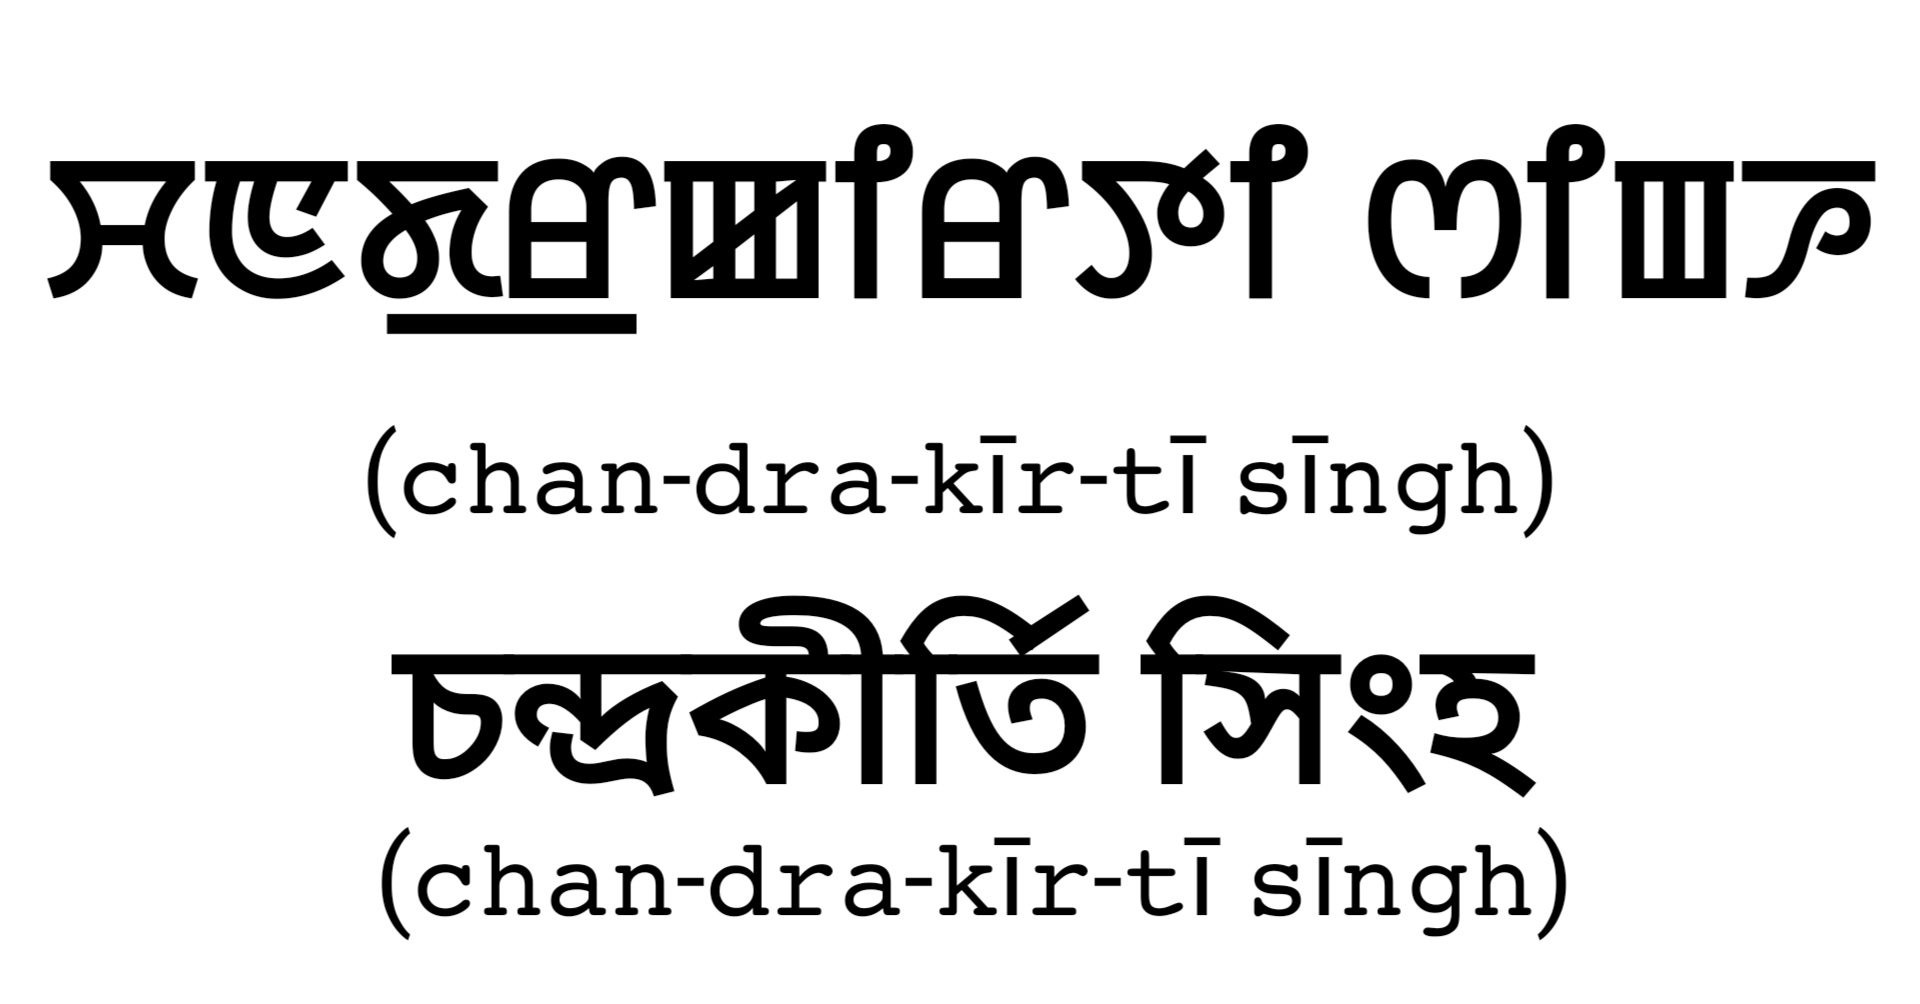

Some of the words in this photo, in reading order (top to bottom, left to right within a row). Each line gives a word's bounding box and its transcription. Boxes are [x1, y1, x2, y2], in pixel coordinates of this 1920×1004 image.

[43, 115, 1316, 304] ꯆꯟꯗꯔꯀꯤꯔꯇꯤ
[1358, 119, 1883, 312] ꯁꯤꯡꯍ
[364, 427, 657, 532] (chan
[691, 438, 881, 527] dra
[910, 430, 1073, 531] kīr
[1106, 428, 1216, 533] tī
[1234, 423, 1550, 539] sīngh)
[389, 584, 1109, 800] চন্দ্রকীর্তি
[1122, 583, 1549, 807] সিংহ
[383, 829, 672, 937] chan
[704, 836, 900, 929] dra
[929, 832, 1087, 933] kīr
[1120, 832, 1229, 929] tī
[1246, 824, 1564, 945] singh